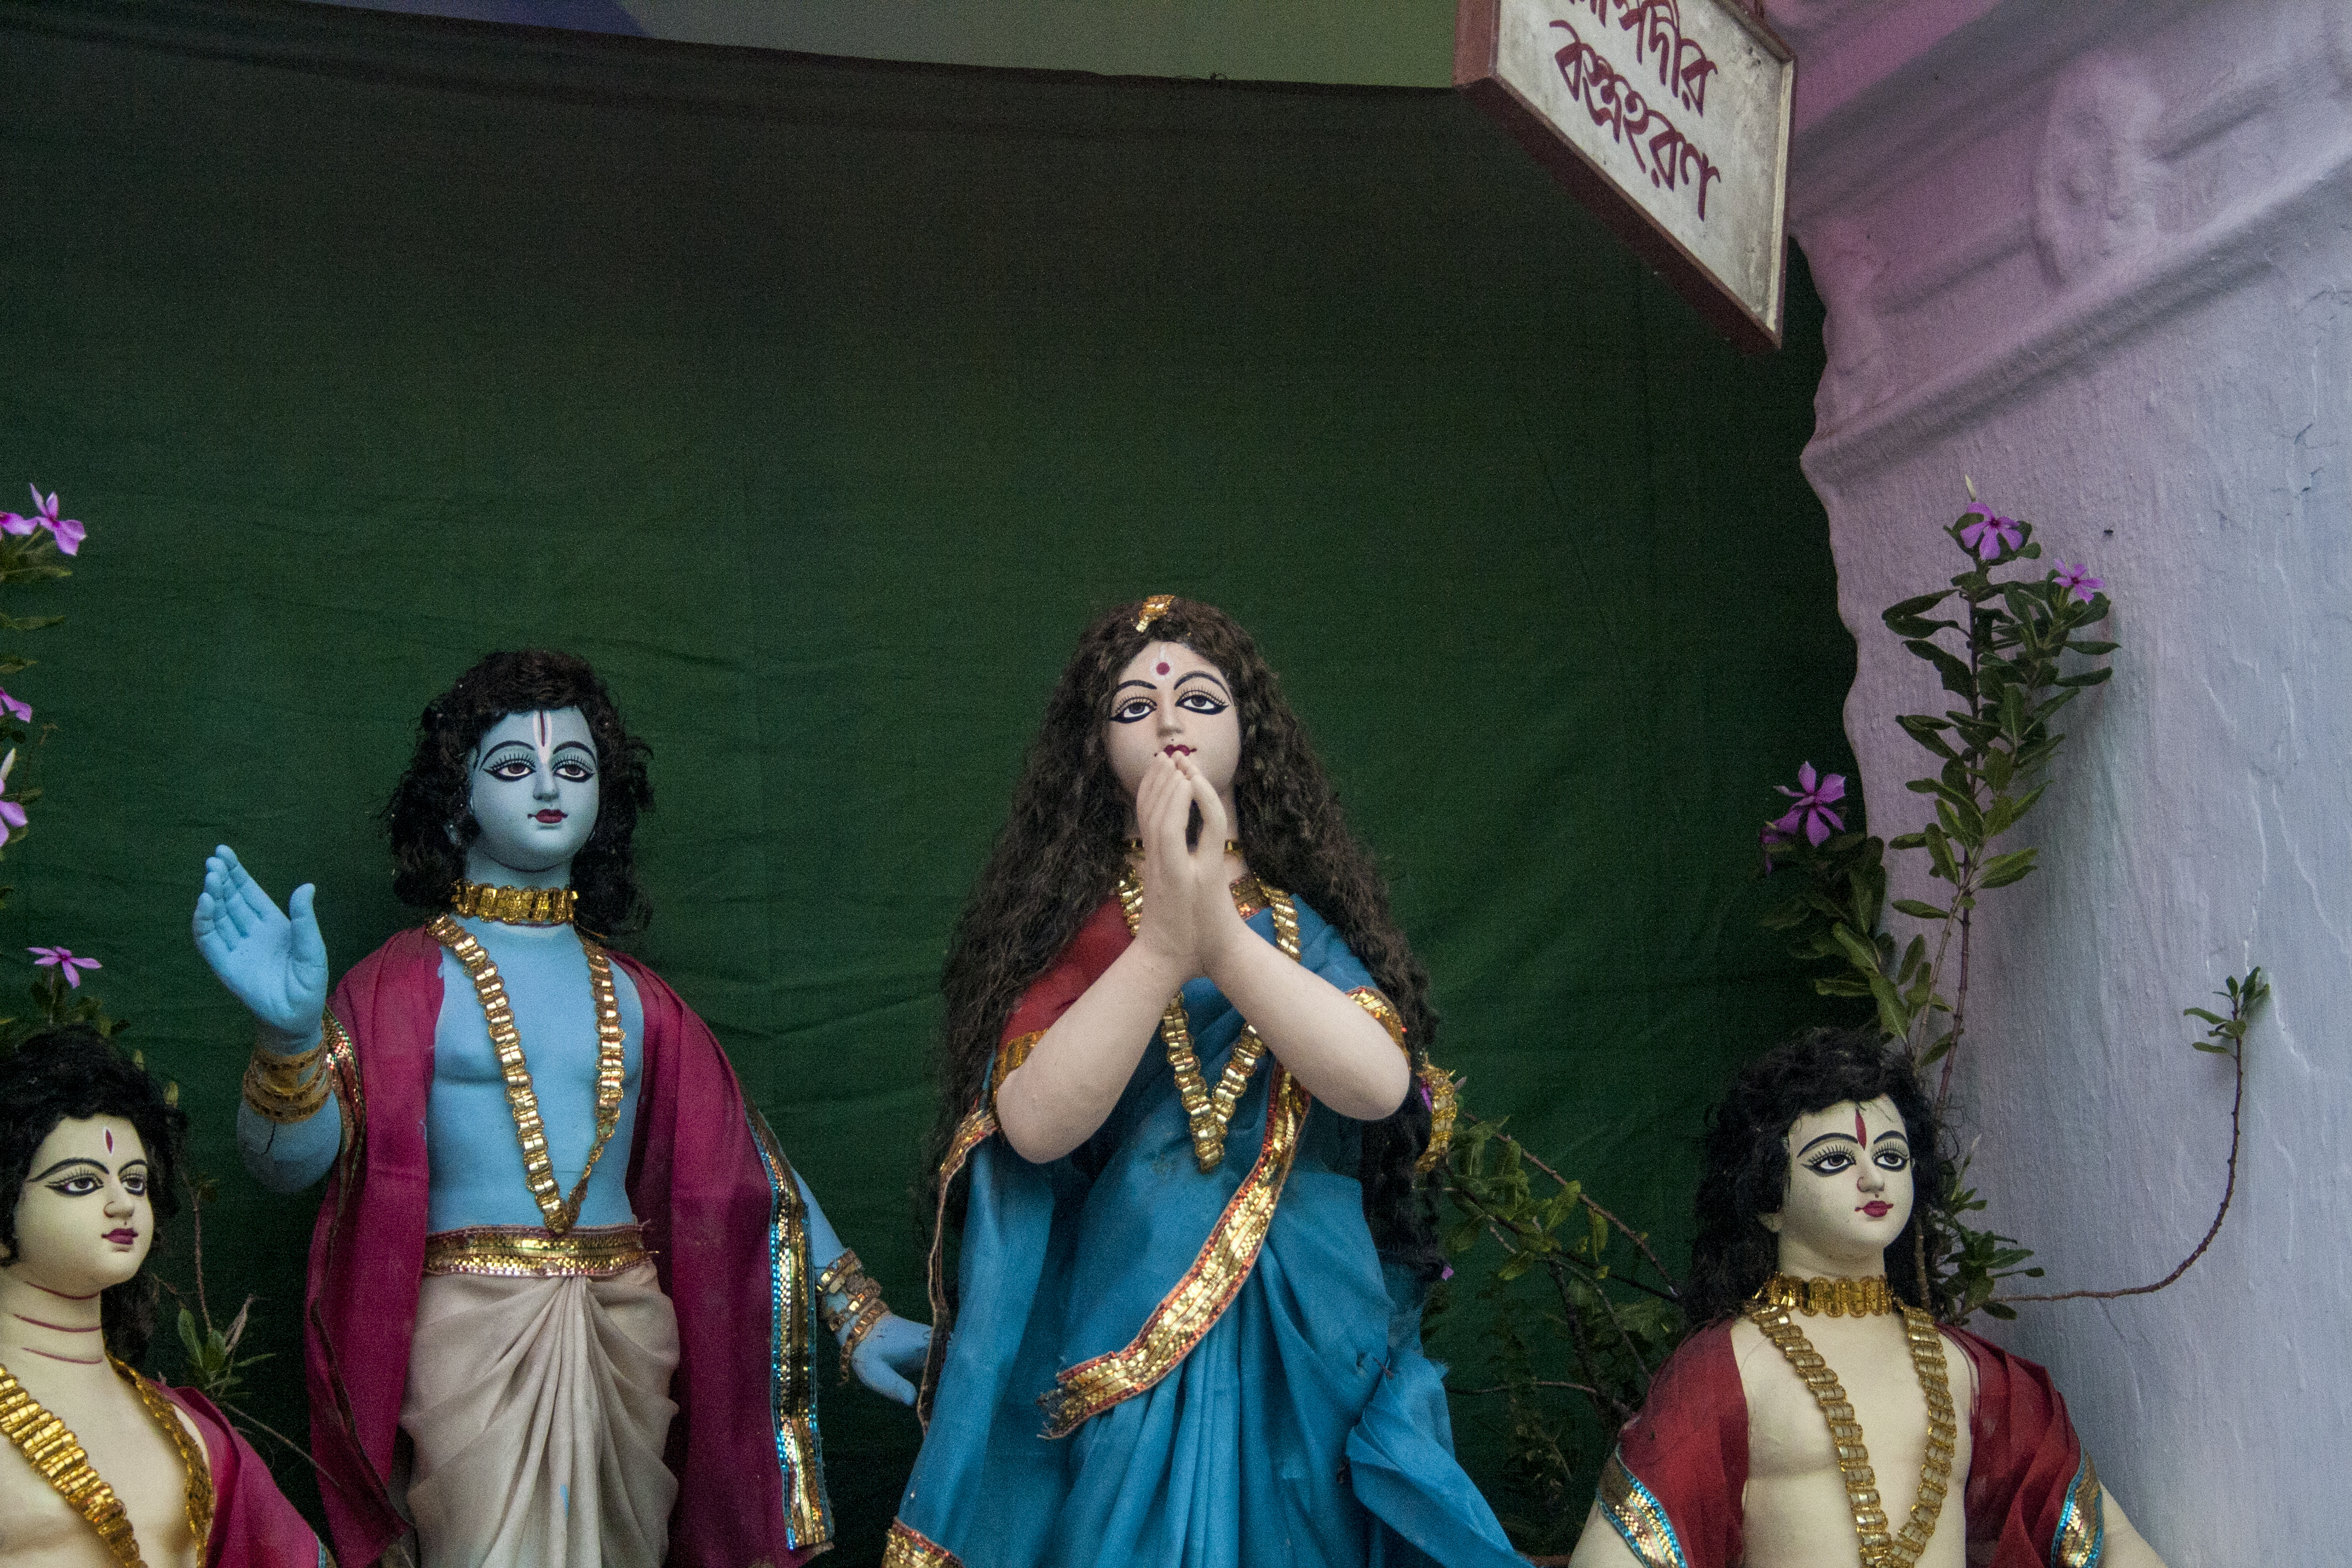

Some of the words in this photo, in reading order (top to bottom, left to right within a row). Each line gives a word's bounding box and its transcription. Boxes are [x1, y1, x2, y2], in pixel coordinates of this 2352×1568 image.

[1545, 16, 1729, 227] বস্ত্রহরণ
[1616, 5, 1730, 129] পদীর